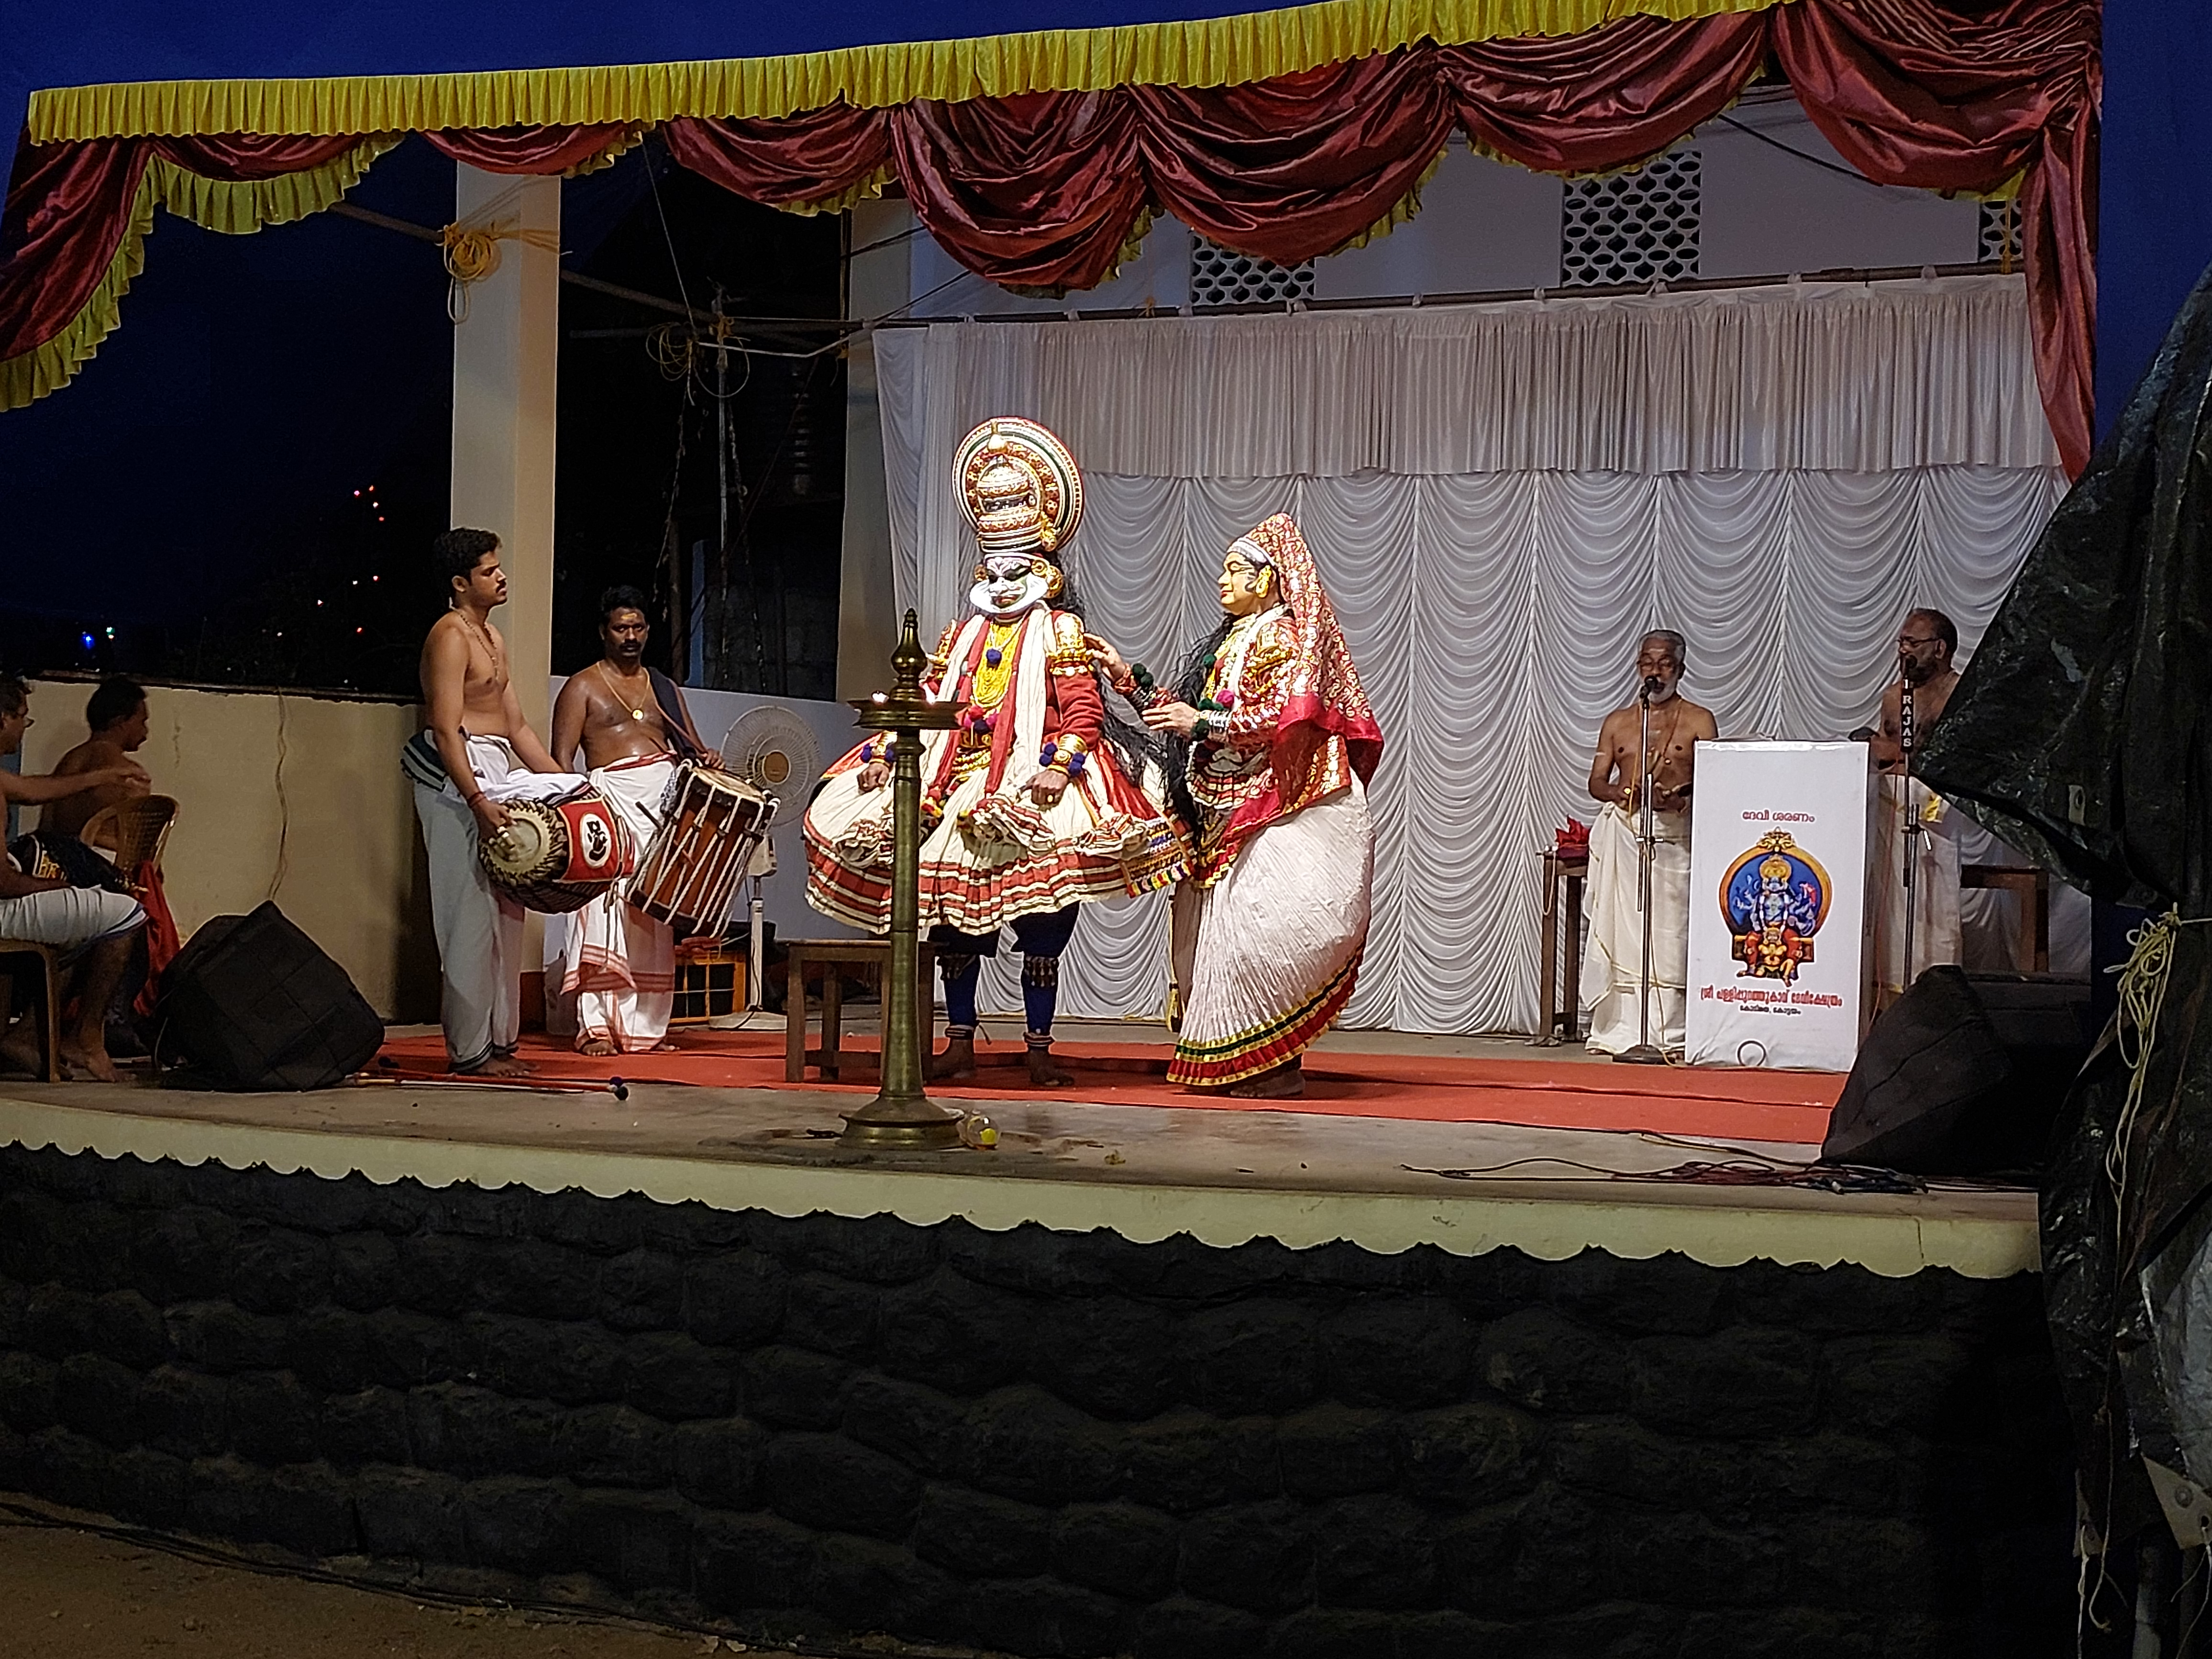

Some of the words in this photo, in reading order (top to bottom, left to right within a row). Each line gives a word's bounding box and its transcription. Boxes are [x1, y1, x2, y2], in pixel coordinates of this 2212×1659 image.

[1738, 807, 1771, 822] ദേവി
[1769, 809, 1817, 826] ശരണം
[1696, 982, 1718, 1004] ശ്രീ
[1714, 983, 1791, 1007] പള്ളിപ്പുറത്തുകാര്
[1790, 987, 1844, 1008] ദേവീഃ ക്ഷത്രം